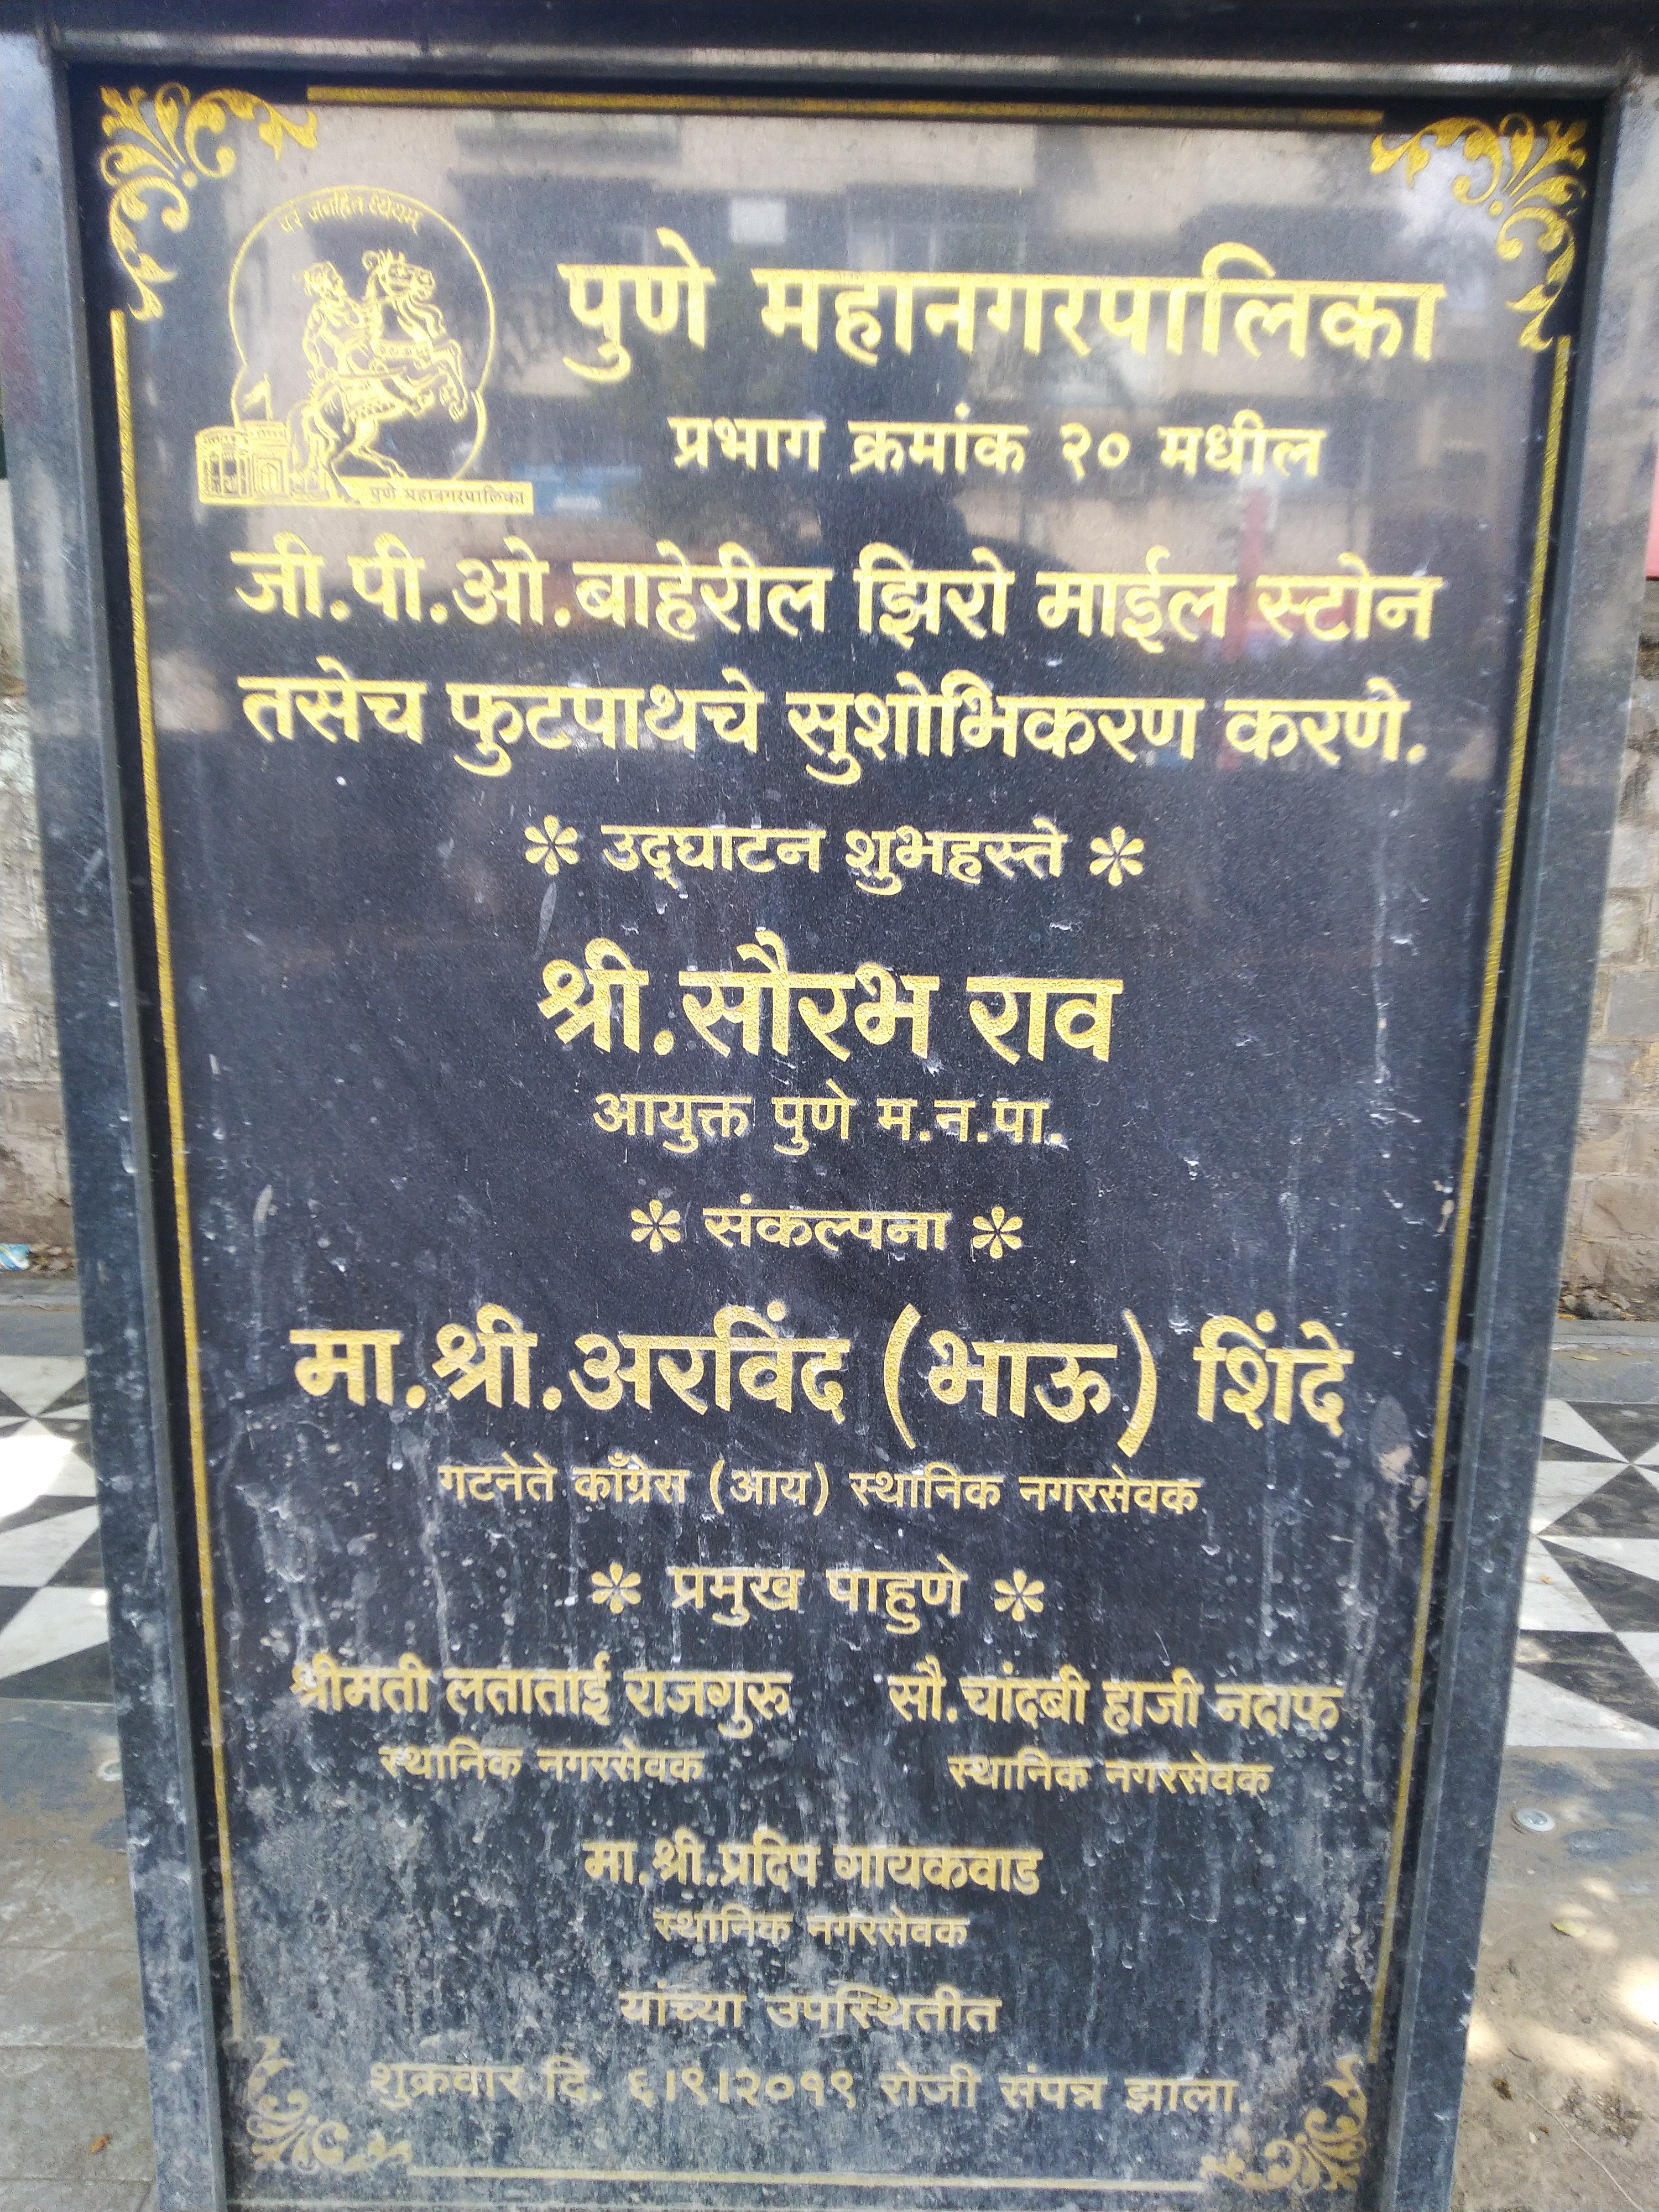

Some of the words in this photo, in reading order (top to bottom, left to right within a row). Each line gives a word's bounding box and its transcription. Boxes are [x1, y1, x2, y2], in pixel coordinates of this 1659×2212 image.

[514, 219, 728, 396] पुणे
[734, 233, 1453, 385] महानगरपालिका
[650, 405, 832, 481] प्रभाग
[836, 393, 1037, 488] क्रमांक
[1038, 409, 1141, 489] २०
[1149, 397, 1339, 489] मधील
[215, 521, 357, 632] जी.
[340, 527, 452, 639] पी.
[441, 533, 578, 635] ओ.
[557, 531, 842, 652] बाहेरील
[843, 535, 1024, 658] झिरो
[1020, 524, 1243, 671] माईल
[1240, 546, 1453, 659] स्टोन
[222, 645, 435, 761] तसेच
[434, 661, 775, 782] फुटपाथचे
[777, 660, 1215, 790] सुशोभिकरण
[1213, 672, 1448, 776] करणे.
[587, 813, 832, 896] उद्घाटन
[833, 810, 1081, 904] शुभहस्ते
[524, 928, 682, 1066] श्री.
[658, 920, 958, 1073] सौरभ
[954, 967, 1144, 1074] राव
[583, 1084, 761, 1162] आयुक्त
[764, 1074, 862, 1162] पुणे
[864, 1092, 1072, 1156] म.न.पा.
[696, 1187, 956, 1271] संकल्पना
[258, 1305, 437, 1427] मा.
[420, 1292, 568, 1419] श्री.
[555, 1287, 859, 1431] अरविंद
[873, 1288, 1167, 1463] (भाऊ)
[1177, 1298, 1375, 1452] शिंदे
[422, 1433, 564, 1514] गटनेते
[570, 1442, 698, 1513] काँग्रेस
[697, 1447, 838, 1525] (आय)
[839, 1457, 1009, 1521] स्थानिक
[1011, 1458, 1212, 1525] नगरसेवक
[651, 1554, 817, 1639] प्रमुख
[816, 1548, 972, 1640] पाहुणे
[278, 1636, 435, 1728] श्रीमती
[436, 1635, 622, 1728] लताताई
[618, 1658, 806, 1744] राजगुरु
[875, 1646, 962, 1729] सौ.
[945, 1648, 1097, 1734] चांदबी
[1091, 1658, 1208, 1741] हाजी
[1205, 1670, 1358, 1740] नदाफ
[370, 1729, 529, 1797] स्थानिक
[526, 1744, 712, 1804] नगरसेवक
[937, 1744, 1095, 1804] स्थानिक
[1095, 1745, 1282, 1806] नगरसेवक
[568, 1829, 655, 1891] मा.
[647, 1822, 721, 1900] श्री.
[714, 1822, 825, 1899] प्रदिप
[828, 1837, 1052, 1904] गायकवाड
[632, 1899, 801, 1952] स्‍थानिक
[800, 1899, 983, 1960] नगरसेवक
[604, 1973, 753, 2044] यांच्या
[759, 1979, 1014, 2046] उपस्थितीत
[352, 2036, 531, 2129] शुक्रवार
[532, 2042, 611, 2119] दि.
[617, 2055, 863, 2120] ६।९।२०१९
[865, 2051, 988, 2124] रोजी
[988, 2054, 1114, 2127] संपन्न
[1113, 2063, 1256, 2126] झाला.